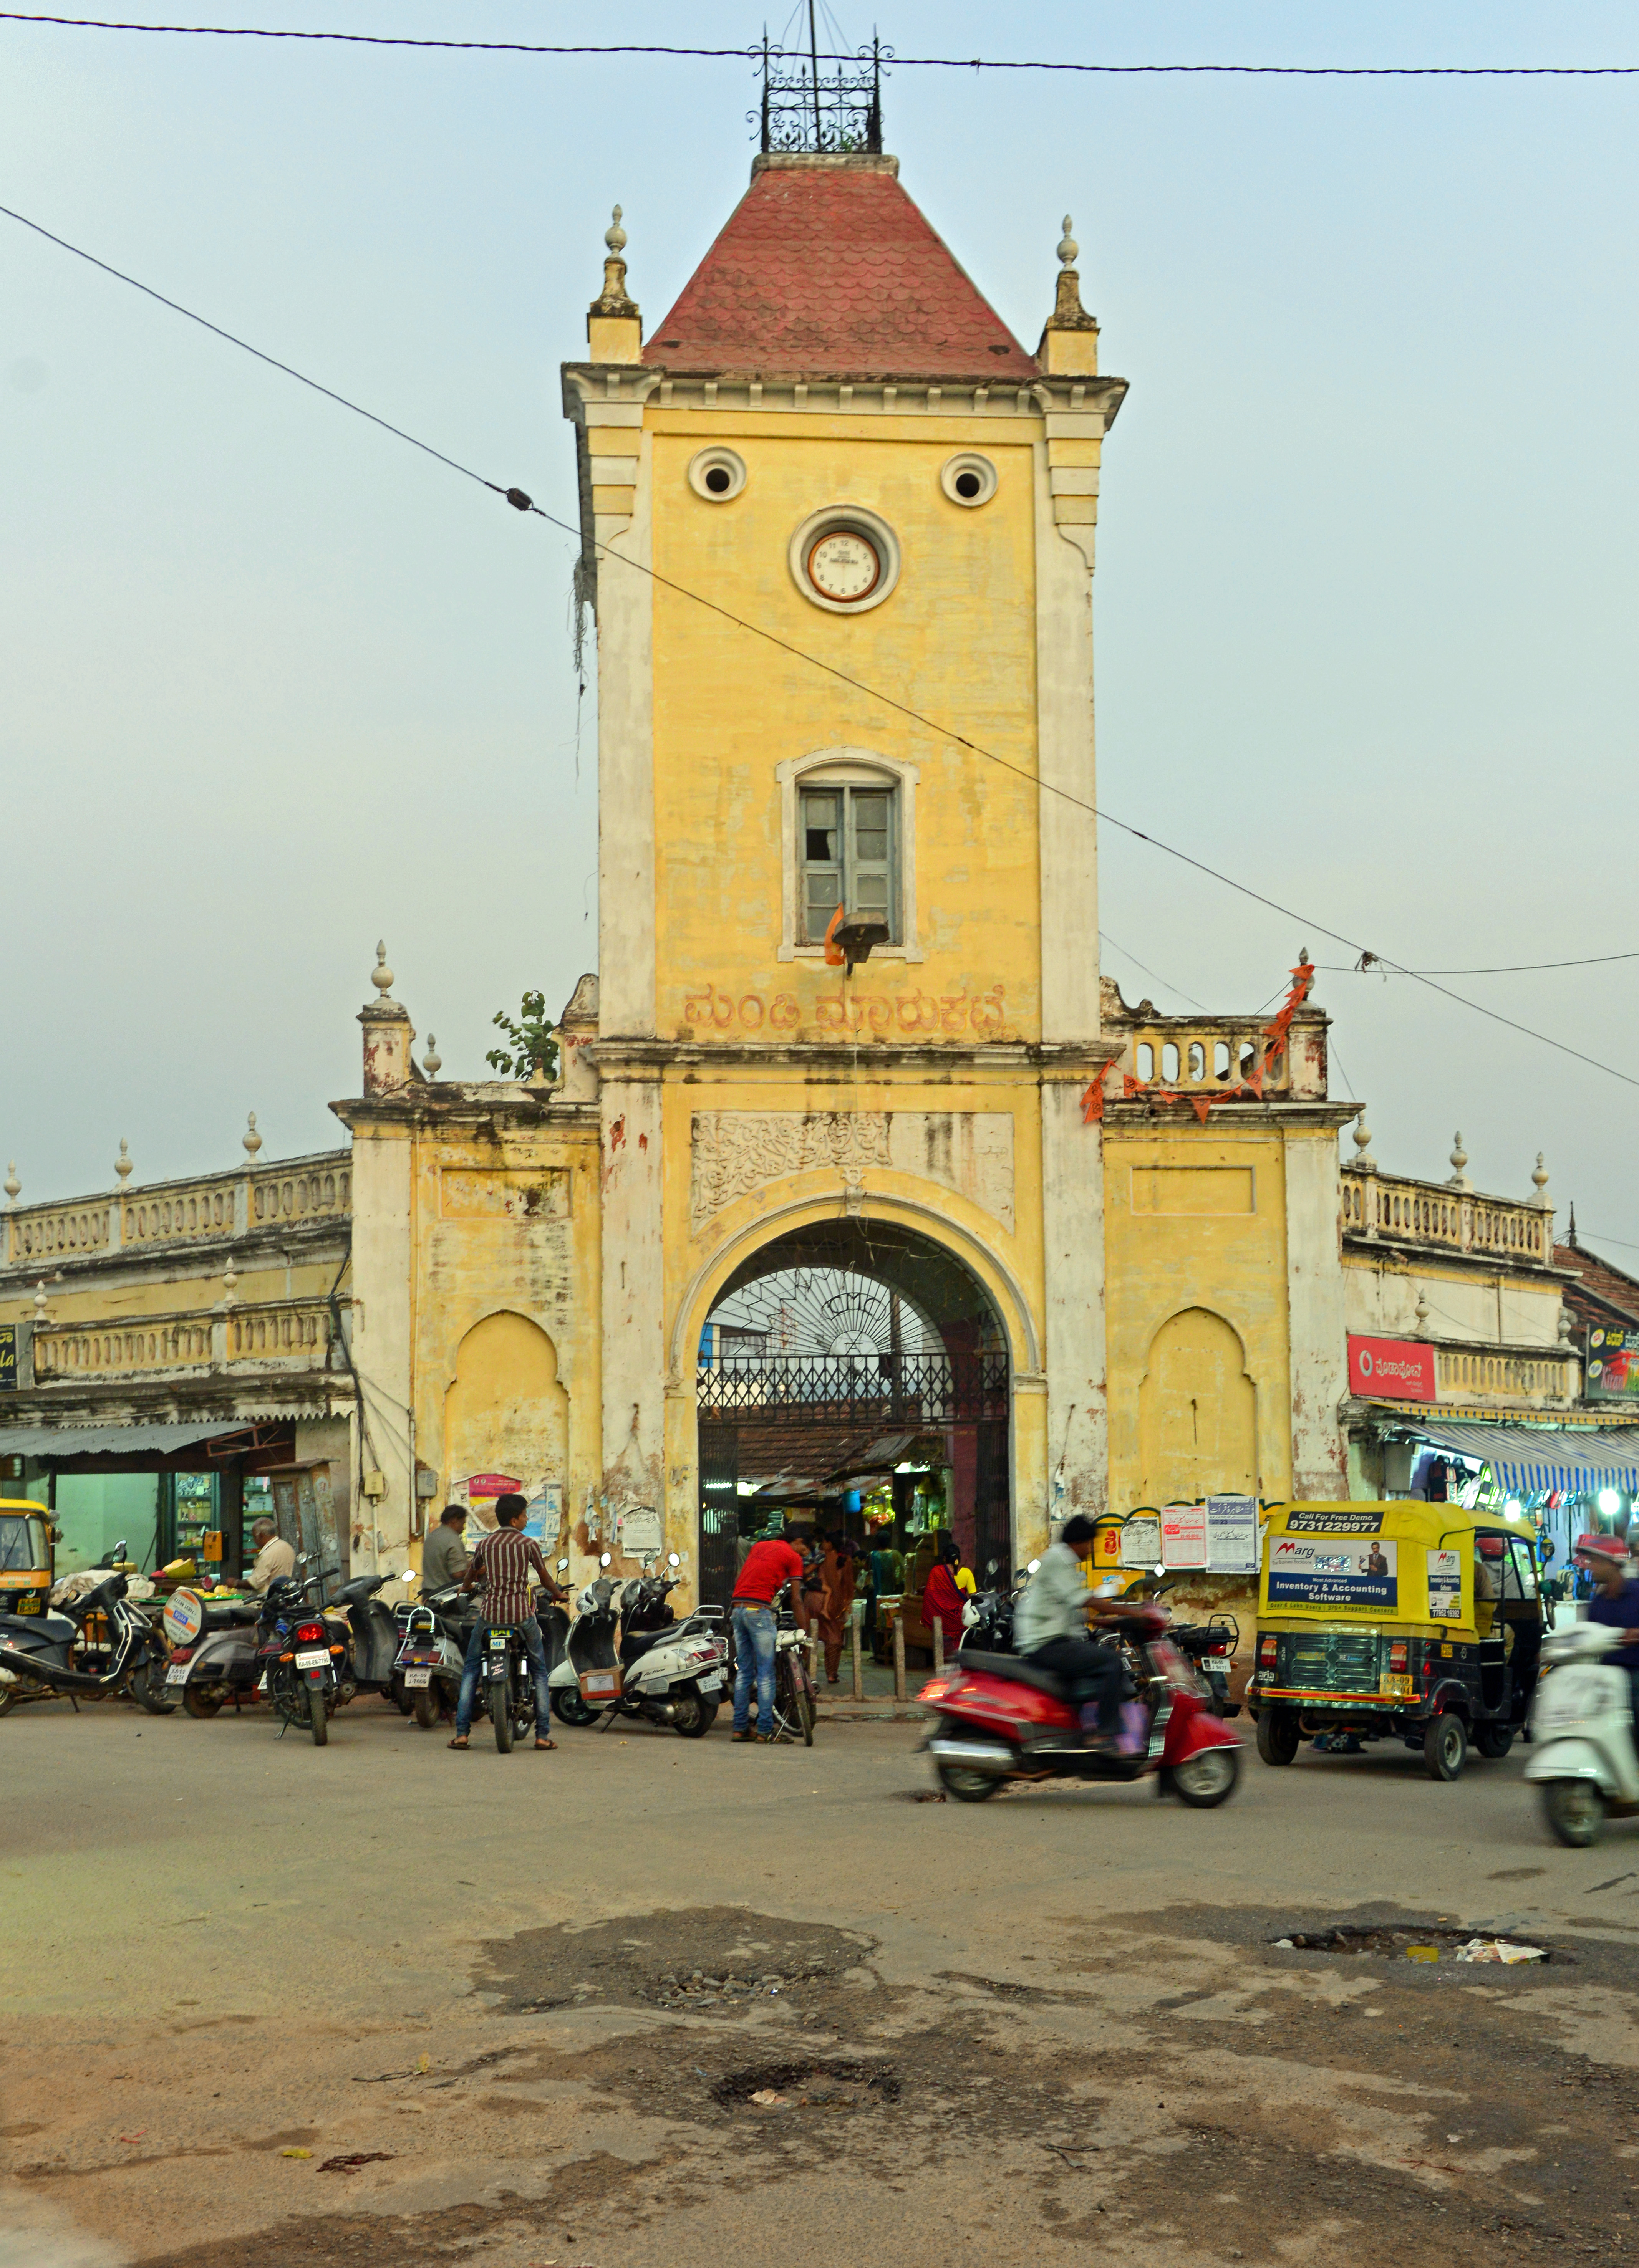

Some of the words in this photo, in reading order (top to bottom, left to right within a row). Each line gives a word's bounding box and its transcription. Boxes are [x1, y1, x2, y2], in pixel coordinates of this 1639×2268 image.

[677, 977, 806, 1033] ಮಂಡಿ
[807, 979, 1008, 1039] ಮಾರುಕವ
[1602, 1326, 1626, 1348] ಕಿರಡ್
[1374, 1356, 1424, 1381] ವೊಡಾಫೋನ್
[1403, 1378, 1424, 1389] way,
[1298, 1510, 1315, 1520] Call
[1314, 1511, 1330, 1523] For
[1329, 1511, 1349, 1523] Free
[1347, 1512, 1374, 1522] Demo
[1272, 1538, 1316, 1559] Marg
[1274, 1580, 1320, 1594] Inventory
[1310, 1576, 1325, 1584] Most
[1318, 1582, 1329, 1594] &
[1324, 1576, 1349, 1586] Advanced
[1330, 1583, 1388, 1598] Accounting
[1306, 1590, 1352, 1604] Software
[1268, 1601, 1284, 1609] Over
[1289, 1601, 1304, 1610] Lake
[1303, 1601, 1324, 1611] Users